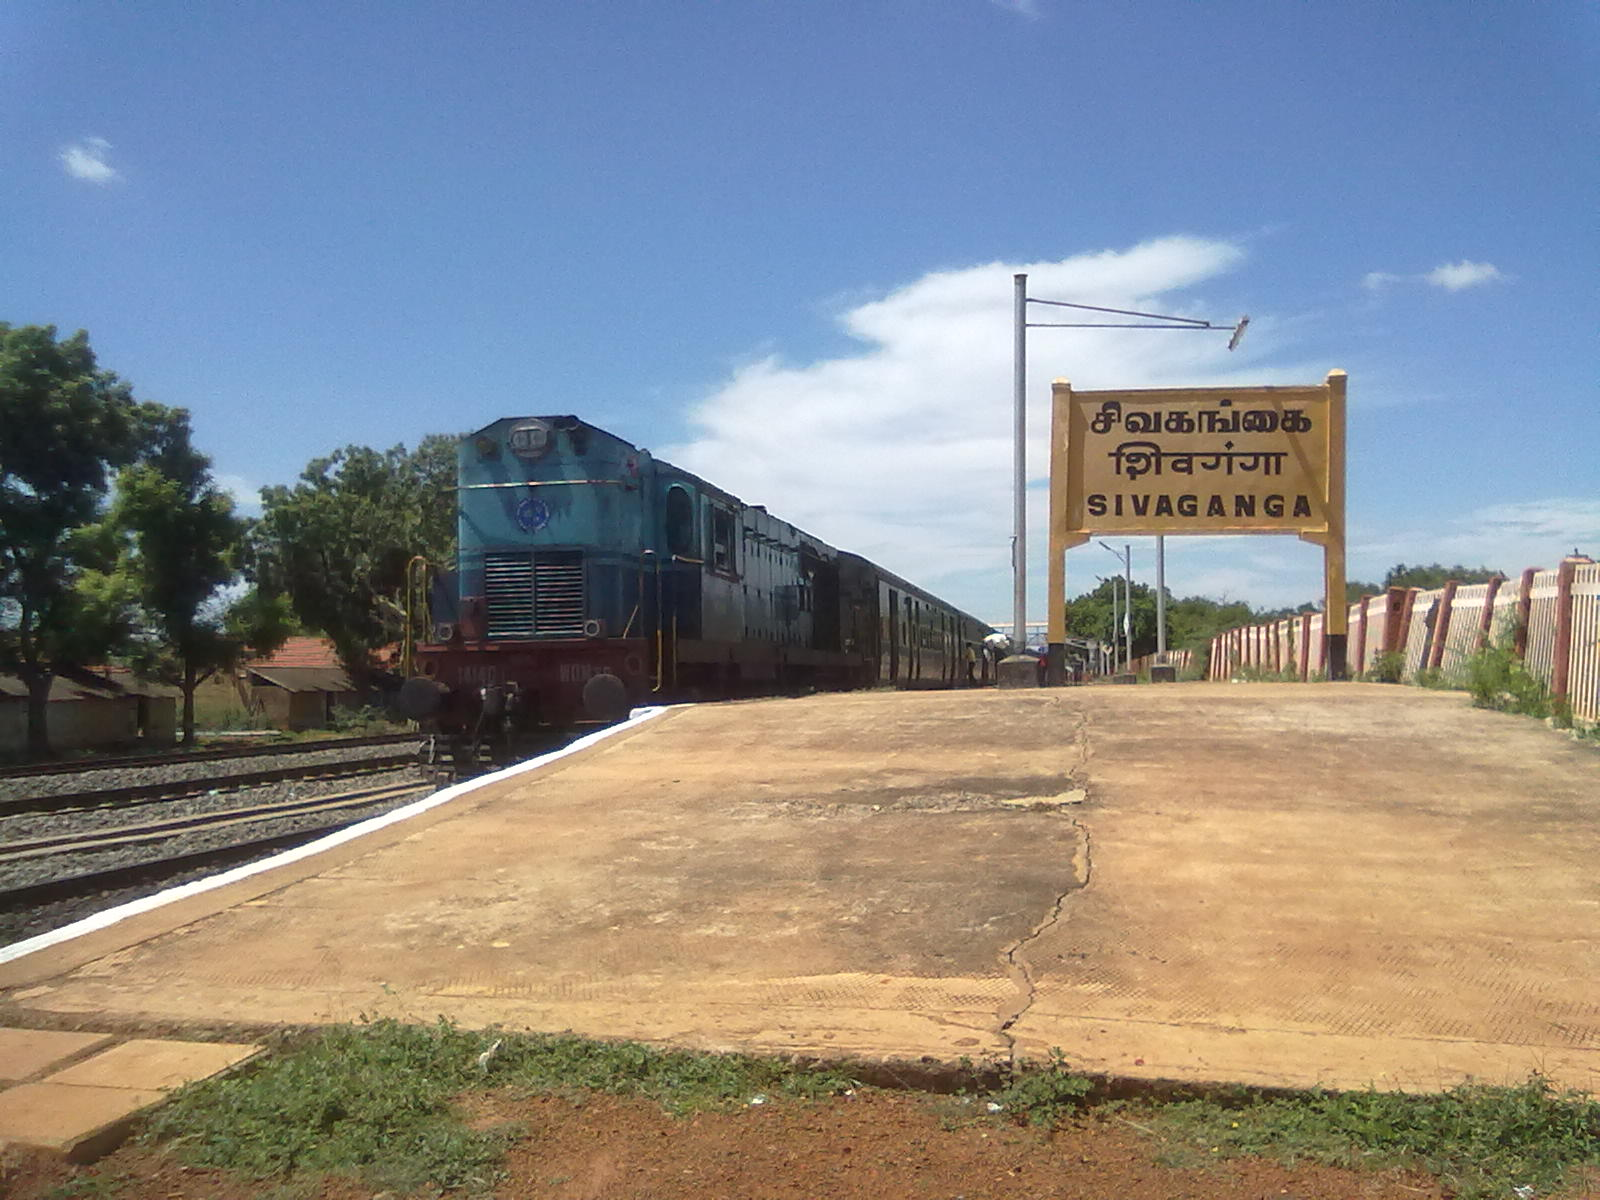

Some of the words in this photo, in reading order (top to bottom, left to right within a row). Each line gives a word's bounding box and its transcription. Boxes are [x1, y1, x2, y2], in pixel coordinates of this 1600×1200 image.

[1088, 394, 1318, 437] சிவகங்கை
[1101, 432, 1291, 481] शिवगंगा
[1083, 488, 1315, 521] SIVAGANGA